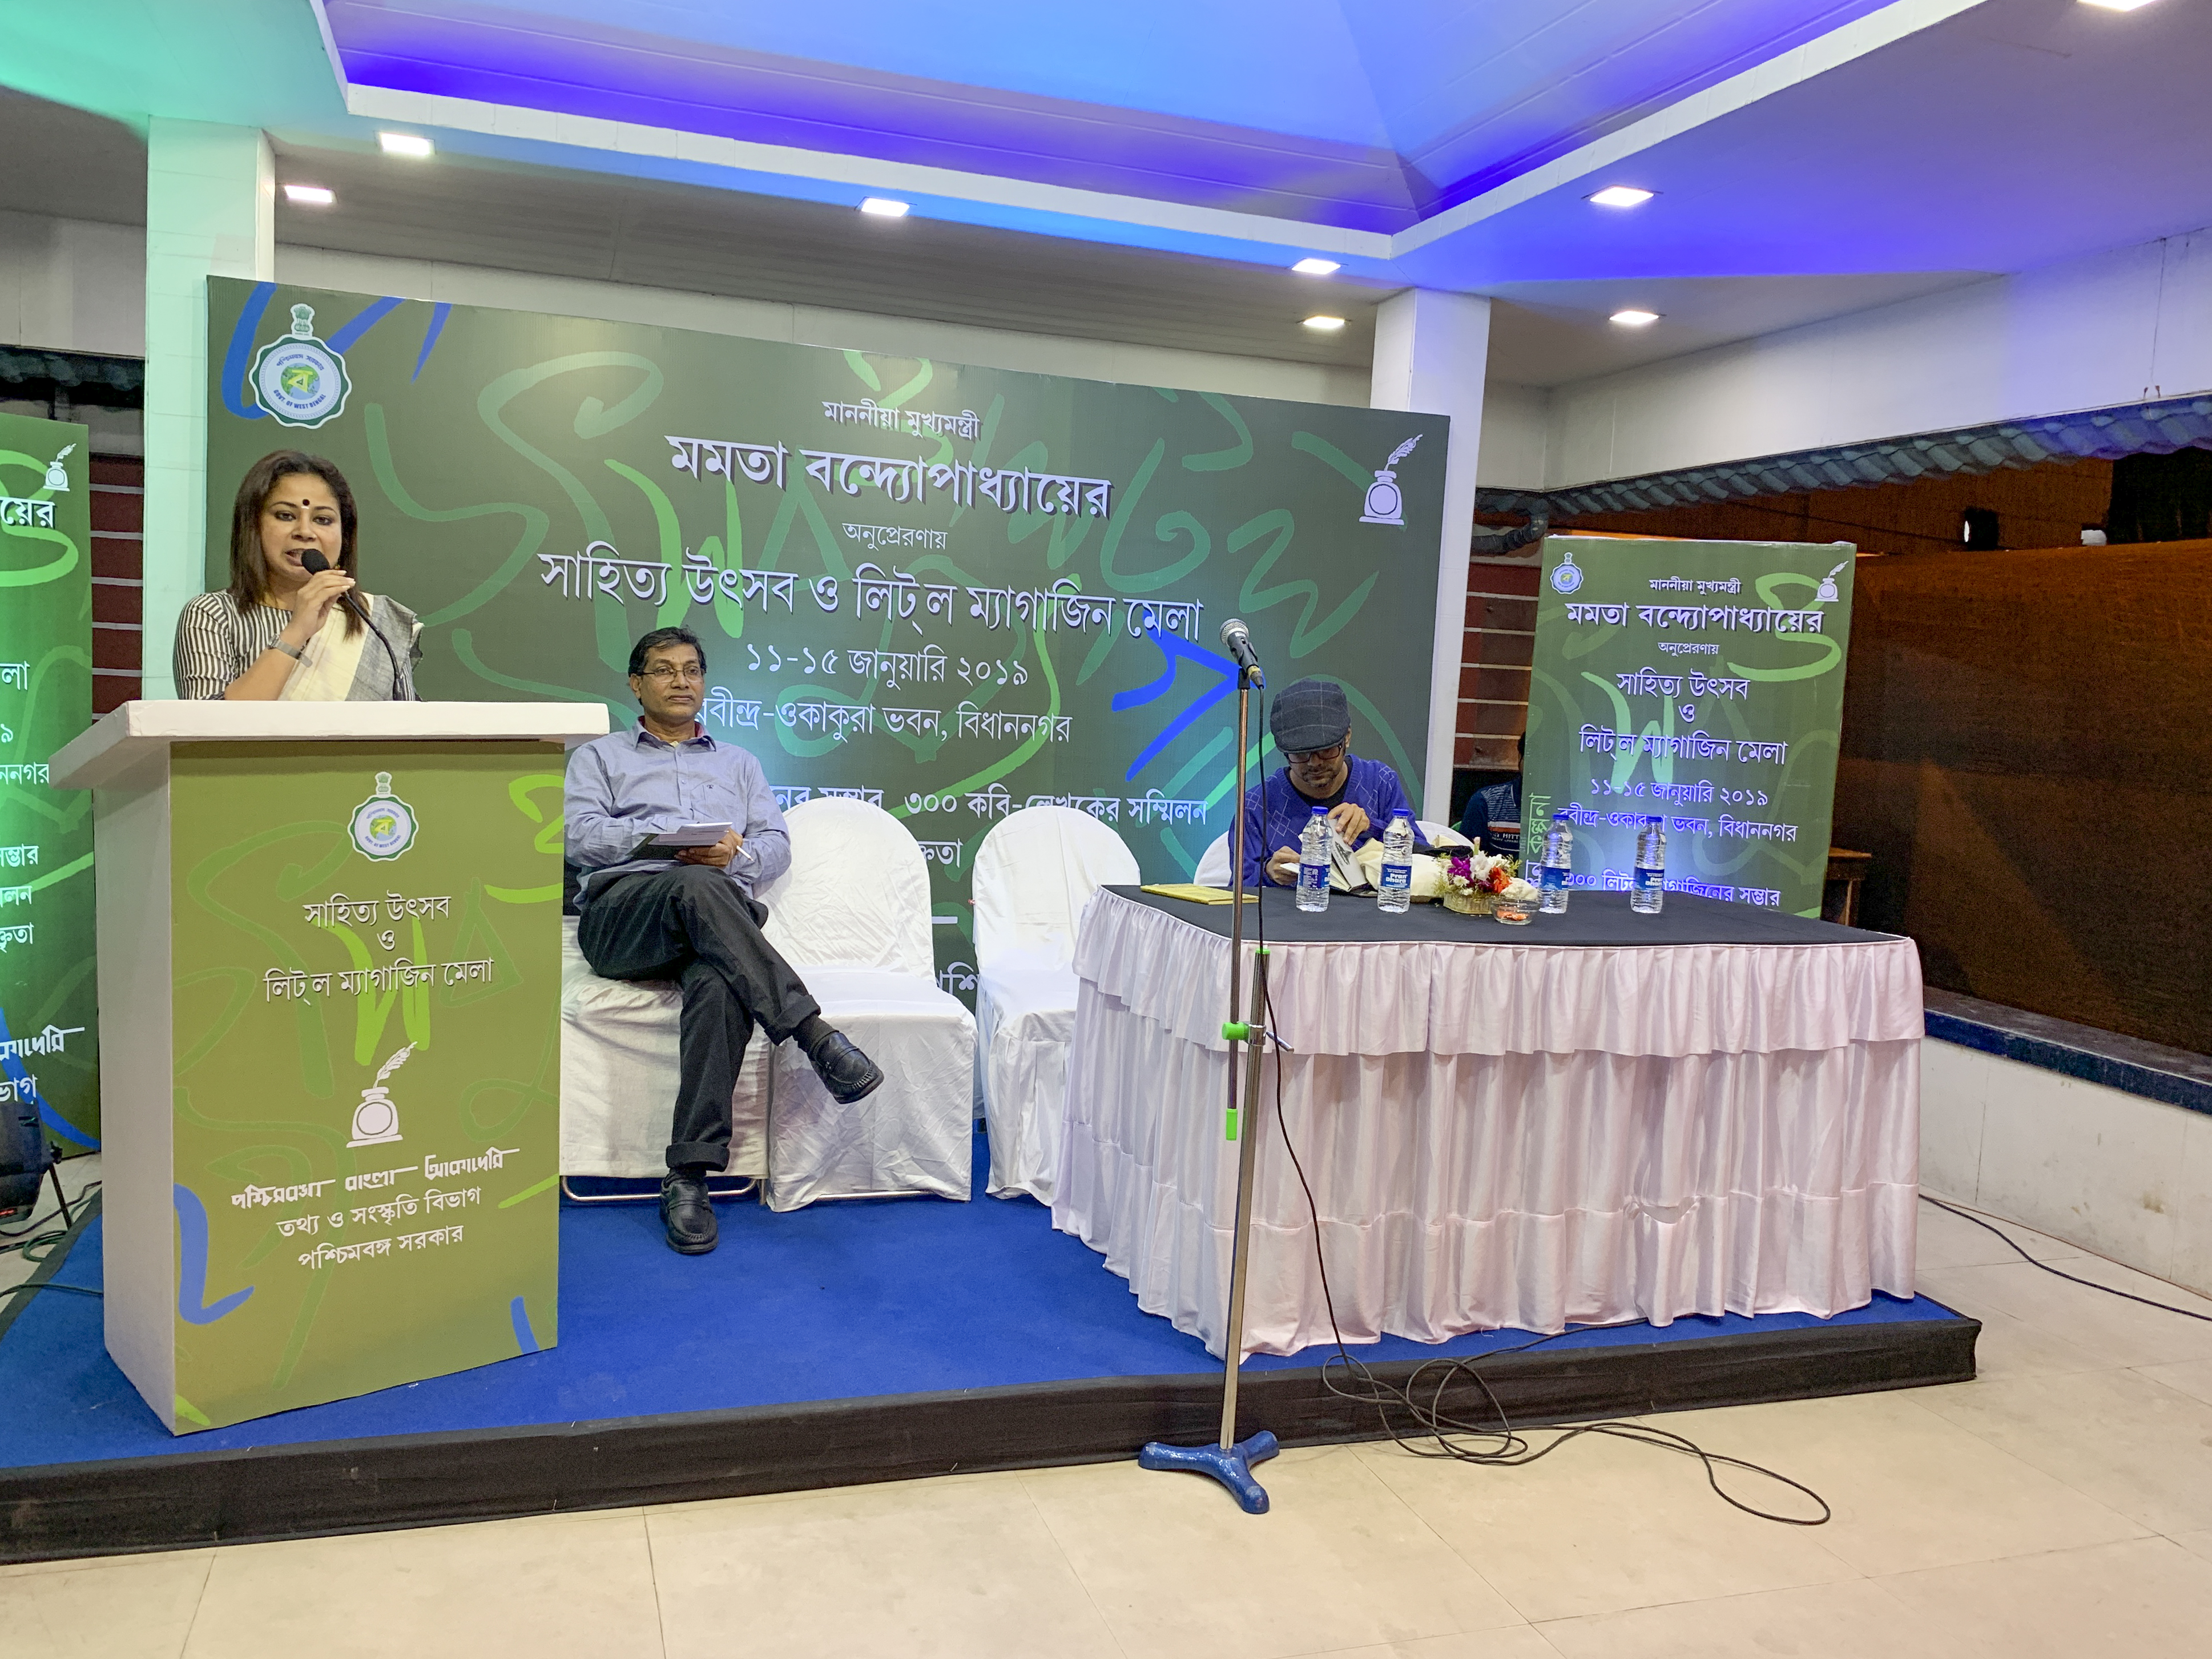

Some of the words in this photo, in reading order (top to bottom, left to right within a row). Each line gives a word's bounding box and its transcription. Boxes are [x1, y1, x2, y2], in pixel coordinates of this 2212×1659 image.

[820, 393, 906, 433] মাননীয়া
[896, 406, 981, 443] মুখ্যমন্ত্রী
[662, 429, 791, 494] মমতা
[799, 445, 1115, 520] বন্দ্যোপাধ্যায়ের
[0, 485, 59, 537] য়ের
[838, 521, 948, 553] অনুপ্রেরণায়
[534, 534, 677, 614] সাহিত্য
[675, 542, 798, 618] উৎসব
[804, 569, 843, 616] ও
[848, 555, 960, 638] লিট্ল
[962, 573, 1117, 638] ম্যাগাজিন
[1121, 593, 1208, 644] মেলা
[1558, 597, 1628, 629] মমতা
[1647, 571, 1695, 594] মাননীয়া
[1695, 574, 1745, 600] মুখ্যমন্ত্রী
[1634, 602, 1827, 635] বন্দ্যোপাধ্যায়ের
[845, 637, 948, 693] জানুয়ারি
[952, 654, 1030, 688] ২০১৯
[1613, 662, 1685, 703] সাহিত্য
[1654, 639, 1722, 659] অনুপ্রেরণায়
[1681, 662, 1754, 701] উৎসব
[692, 679, 771, 731] বীন্দ্র
[773, 699, 880, 744] ওকাকুরা
[879, 703, 947, 740] ভবন
[948, 697, 1074, 744] বিধাননগর
[1674, 701, 1699, 728] ও
[1572, 718, 1638, 763] লিট্ল
[1641, 726, 1734, 764] ম্যাগাজিন
[1734, 737, 1792, 768] মেলা
[0, 761, 53, 787] ননগর
[899, 784, 961, 816] ৩০০
[960, 778, 1012, 823] কবি
[1022, 790, 1122, 823] লেখকের
[1126, 784, 1212, 829] সম্মিলন
[1556, 796, 1599, 831] রবীন্দ্র
[1605, 808, 1651, 831] ওকাব
[1649, 775, 1717, 808] জানুয়ারি
[1665, 810, 1712, 839] ভবন
[1719, 784, 1774, 810] ২০১৯
[1714, 808, 1801, 845] বিধাননগর
[0, 838, 43, 872] ম্ভার
[301, 887, 381, 932] সাহিত্য
[381, 887, 454, 924] উৎসব
[1597, 862, 1737, 902] লিট গাজিনের
[1736, 885, 1782, 909] সম্ভার
[1, 915, 39, 958] ক্তৃতা
[372, 924, 398, 958] ও
[259, 960, 336, 1009] লিট্ল
[333, 951, 440, 1000] ম্যাগাজিন
[441, 953, 497, 988] মেলা
[270, 1210, 325, 1242] তথ্য
[324, 1207, 346, 1233] ও
[295, 1233, 395, 1273] পশ্চিমবঙ্গ
[339, 1163, 421, 1194] বাংলা
[348, 1189, 422, 1228] সংস্কৃতি
[393, 1221, 466, 1255] সরকার
[417, 1179, 484, 1213] বিভাগ
[418, 1138, 520, 1183] আকাদেরি